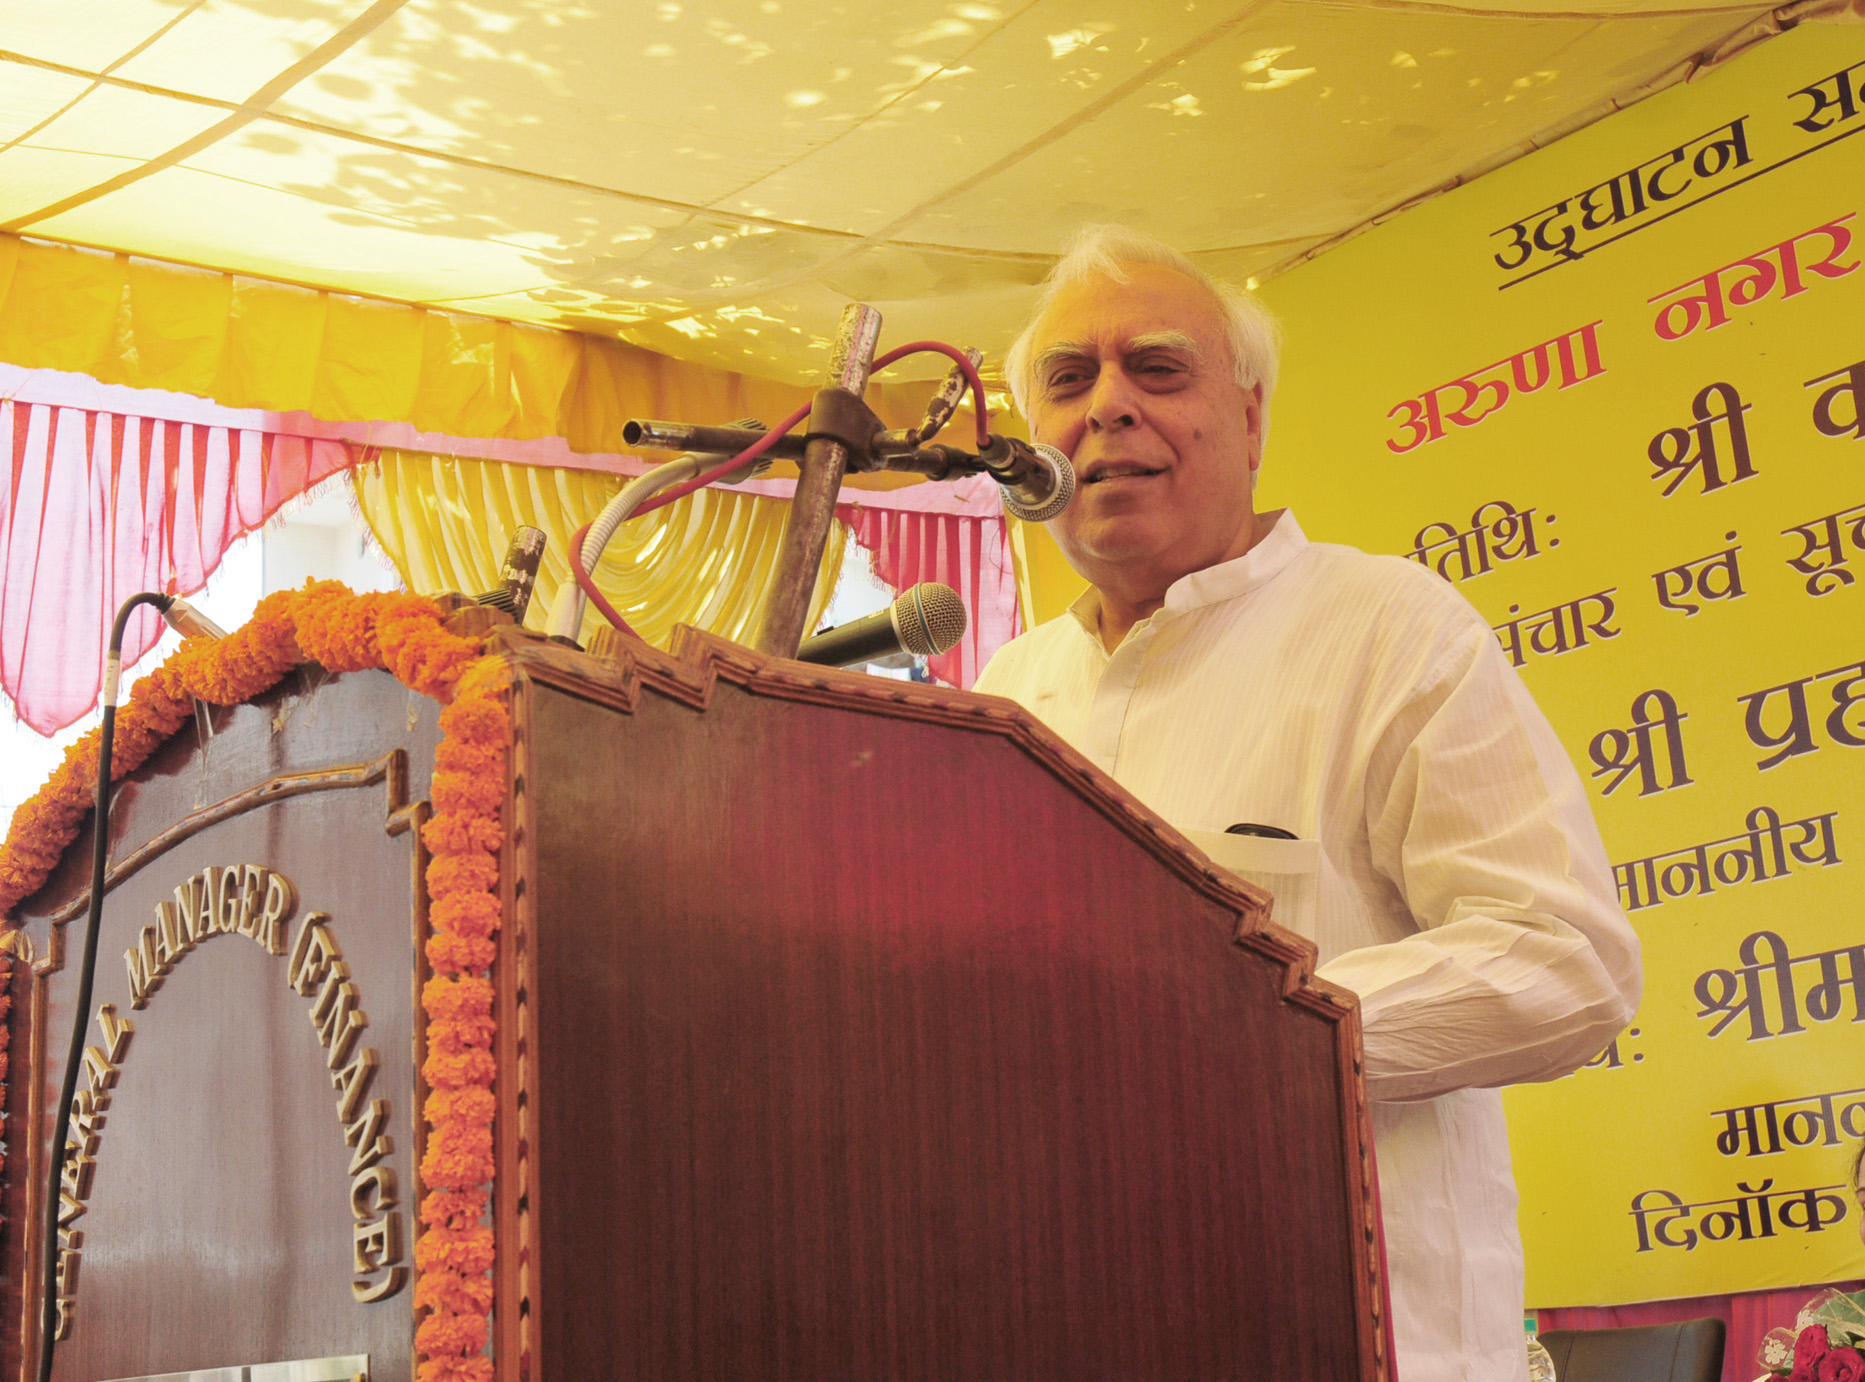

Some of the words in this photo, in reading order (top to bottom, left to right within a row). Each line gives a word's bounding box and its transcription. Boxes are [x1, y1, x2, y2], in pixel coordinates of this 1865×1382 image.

[1483, 108, 1759, 279] उद्घाटन
[1641, 205, 1862, 351] नगर
[1379, 313, 1611, 462] अरुणा
[1630, 372, 1765, 509] श्री
[1404, 488, 1548, 588] तिथि
[1485, 580, 1623, 675] संचार
[1647, 524, 1750, 625] एवं
[1574, 682, 1703, 809] श्री
[1607, 797, 1845, 921] माननीय
[116, 855, 298, 1011] MANAGER
[1691, 921, 1863, 1050] श्रीम
[276, 901, 403, 1305] FINANCE
[1709, 1083, 1865, 1165] मानव्
[1619, 1171, 1849, 1261] दिनॉक